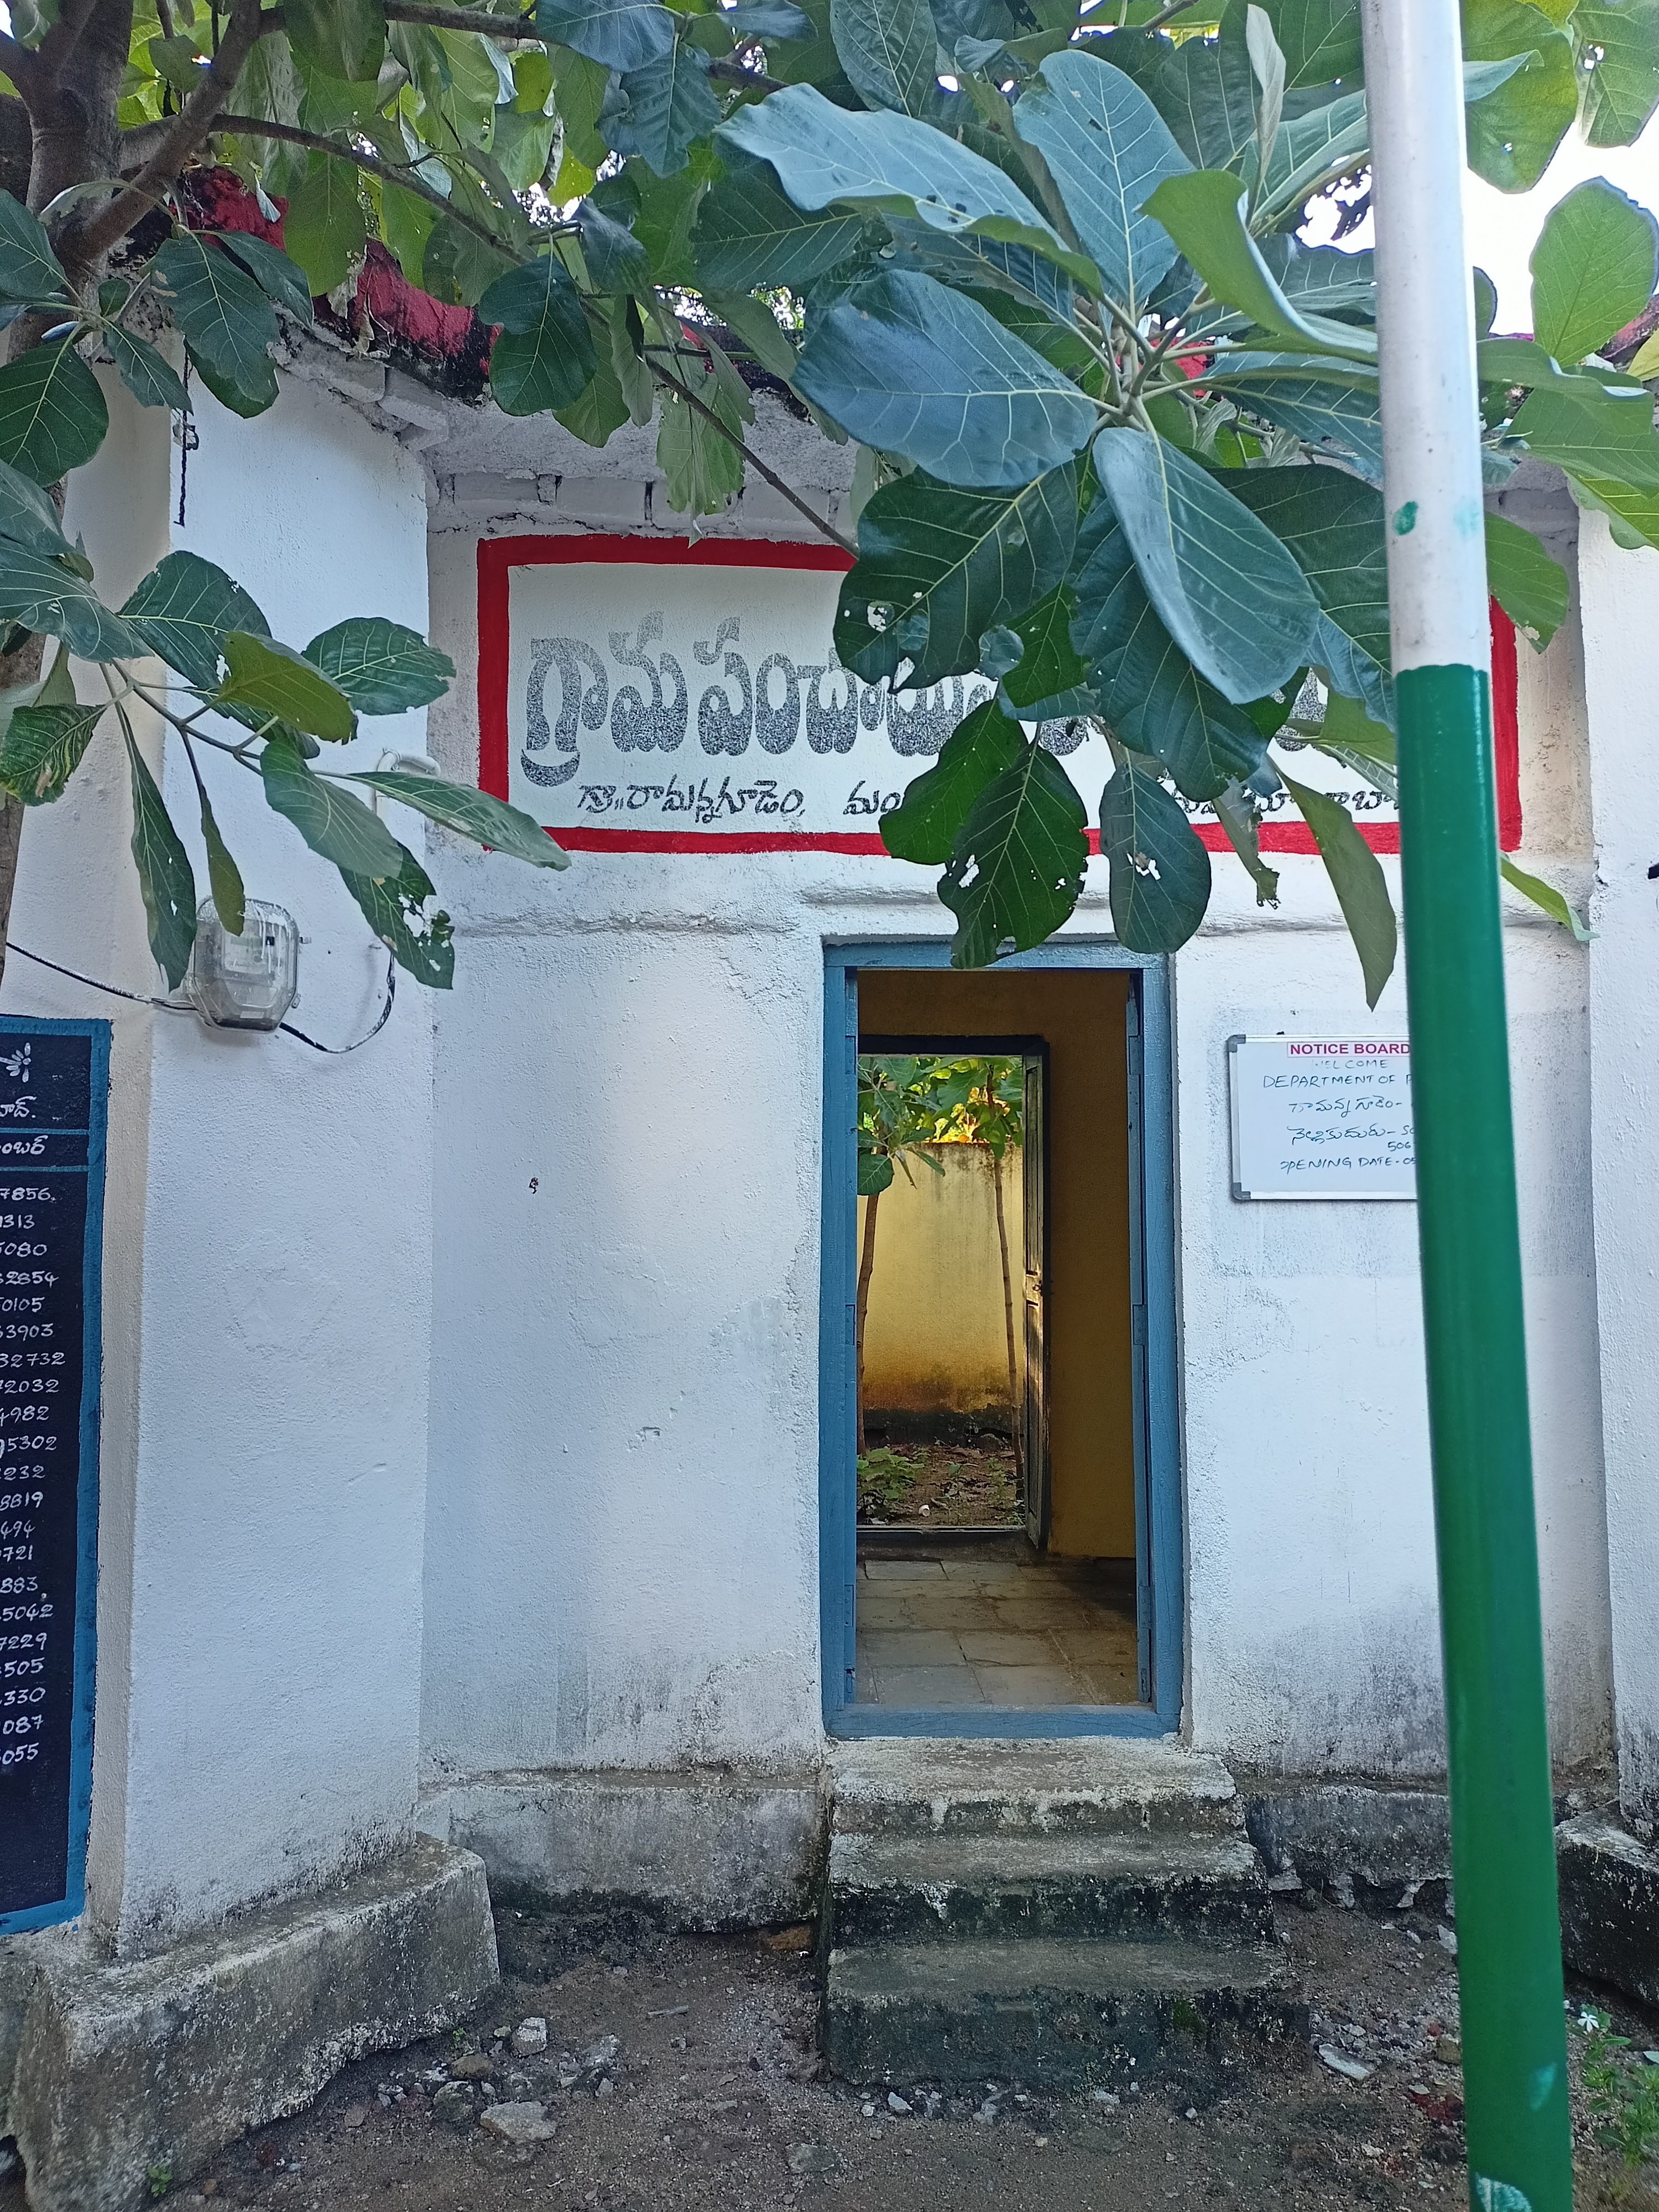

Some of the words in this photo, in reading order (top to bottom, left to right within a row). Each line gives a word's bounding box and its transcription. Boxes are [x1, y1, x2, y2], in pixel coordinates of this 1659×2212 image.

[516, 608, 966, 791] గ్రామపంచా
[575, 771, 807, 826] గ్రా॥రామన్నగూడెం,
[839, 778, 903, 818] లుం
[1288, 1040, 1353, 1058] NOTICE
[1352, 1040, 1413, 1058] BOARD
[1343, 1056, 1390, 1072] COME
[1260, 1072, 1377, 1091] DEPARTMENT
[1373, 1071, 1400, 1086] OF
[1285, 1091, 1397, 1120] రామన్న గూడెం
[1278, 1154, 1355, 1176] OPENING
[1358, 1151, 1394, 1167] DATE